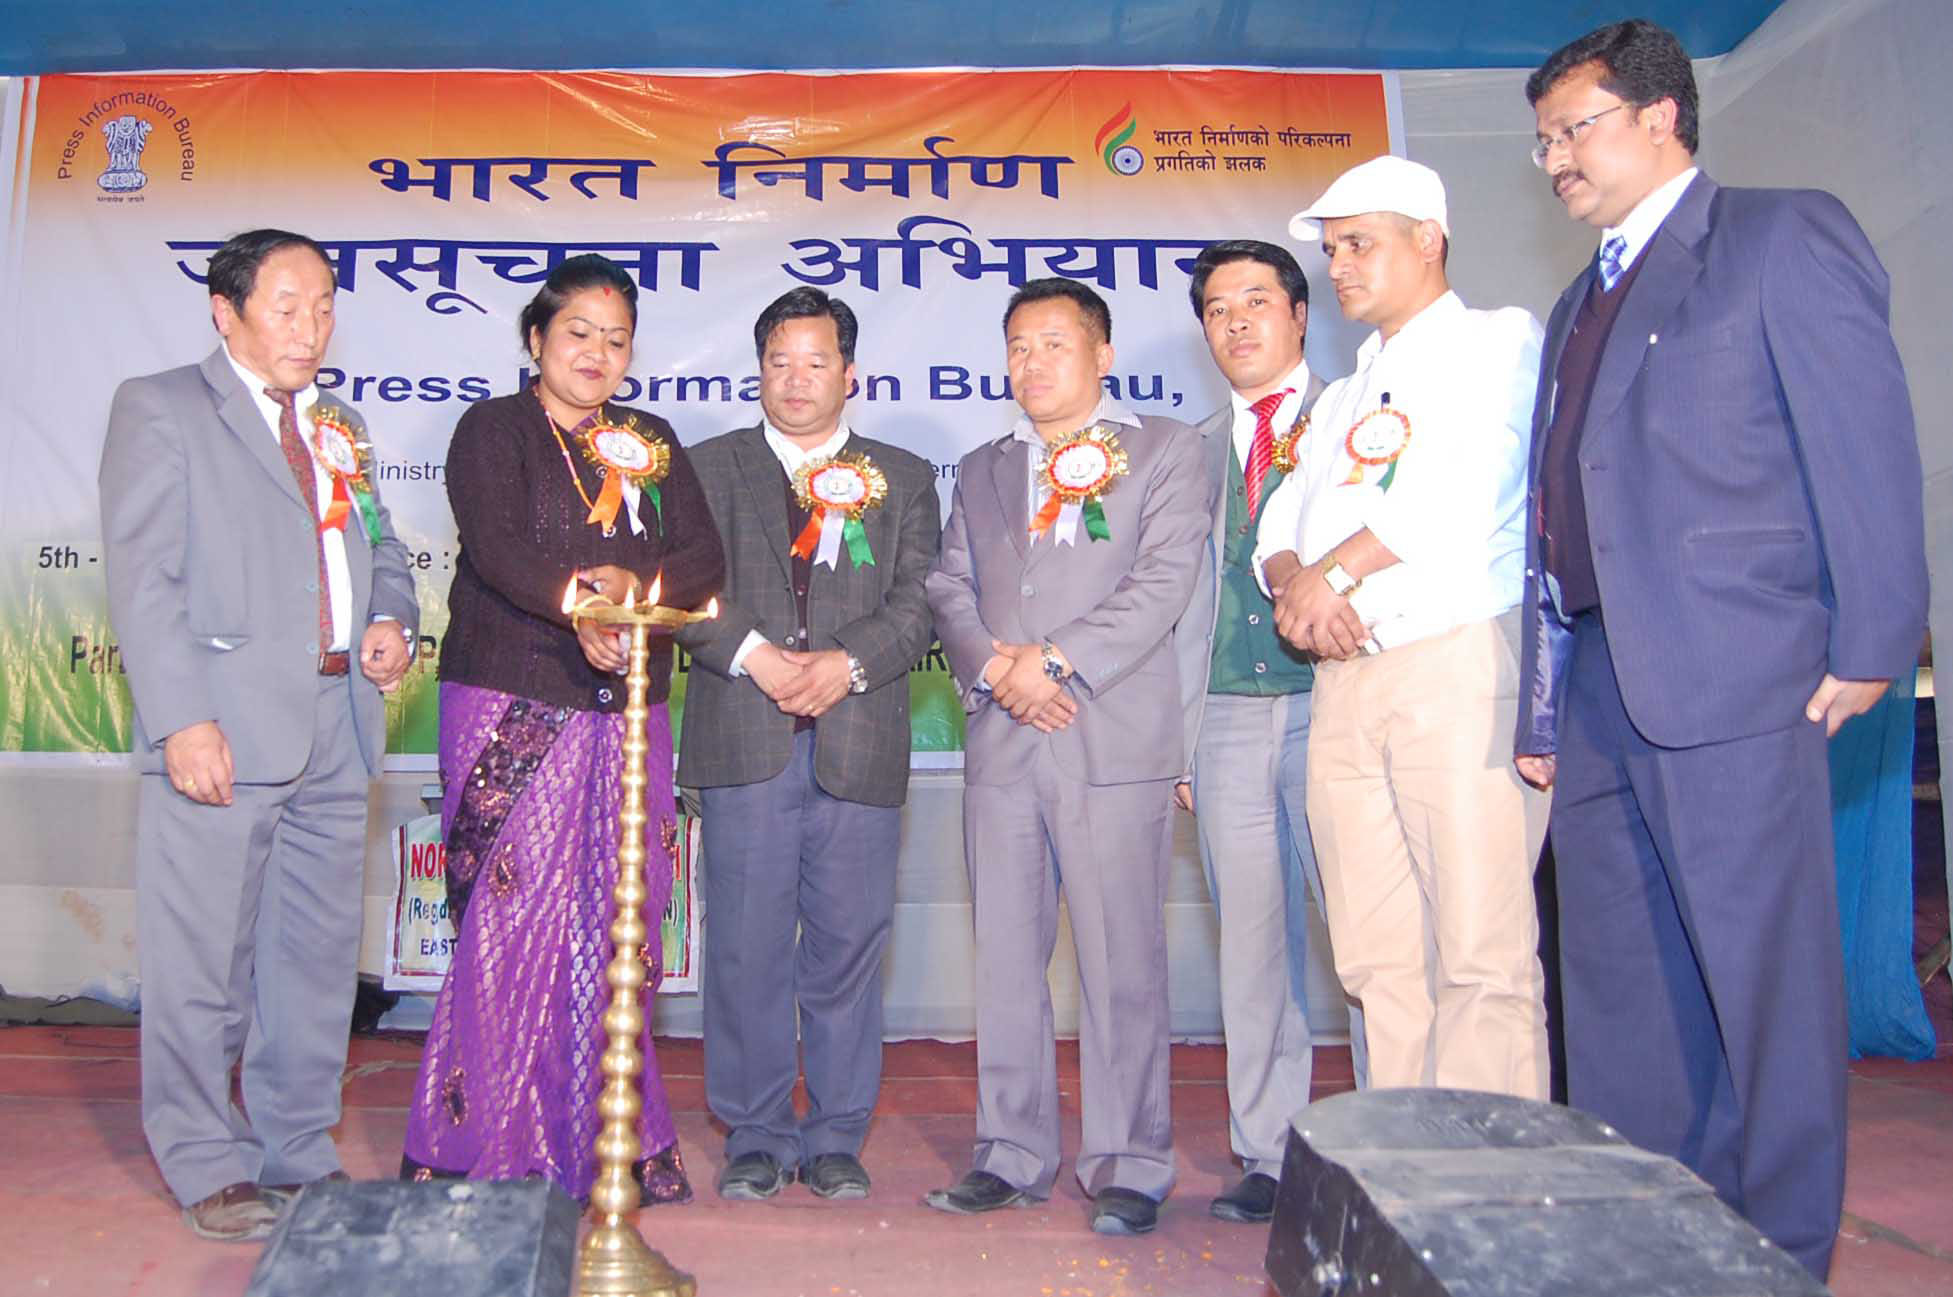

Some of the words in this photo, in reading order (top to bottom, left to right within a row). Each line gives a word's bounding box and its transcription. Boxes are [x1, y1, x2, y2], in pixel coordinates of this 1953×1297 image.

[48, 124, 87, 185] Press
[71, 86, 183, 131] Information
[164, 110, 201, 186] Bureau
[359, 148, 660, 207] भारत
[695, 128, 1078, 205] निर्माण
[1147, 120, 1199, 153] भारत
[1150, 139, 1222, 177] प्रगतिको
[1192, 115, 1276, 148] निर्माणको
[1219, 151, 1271, 175] झलक
[1269, 119, 1355, 153] परिकल्पना
[164, 234, 728, 321] सूच
[778, 206, 1263, 304] अभियान
[311, 361, 501, 408] ress